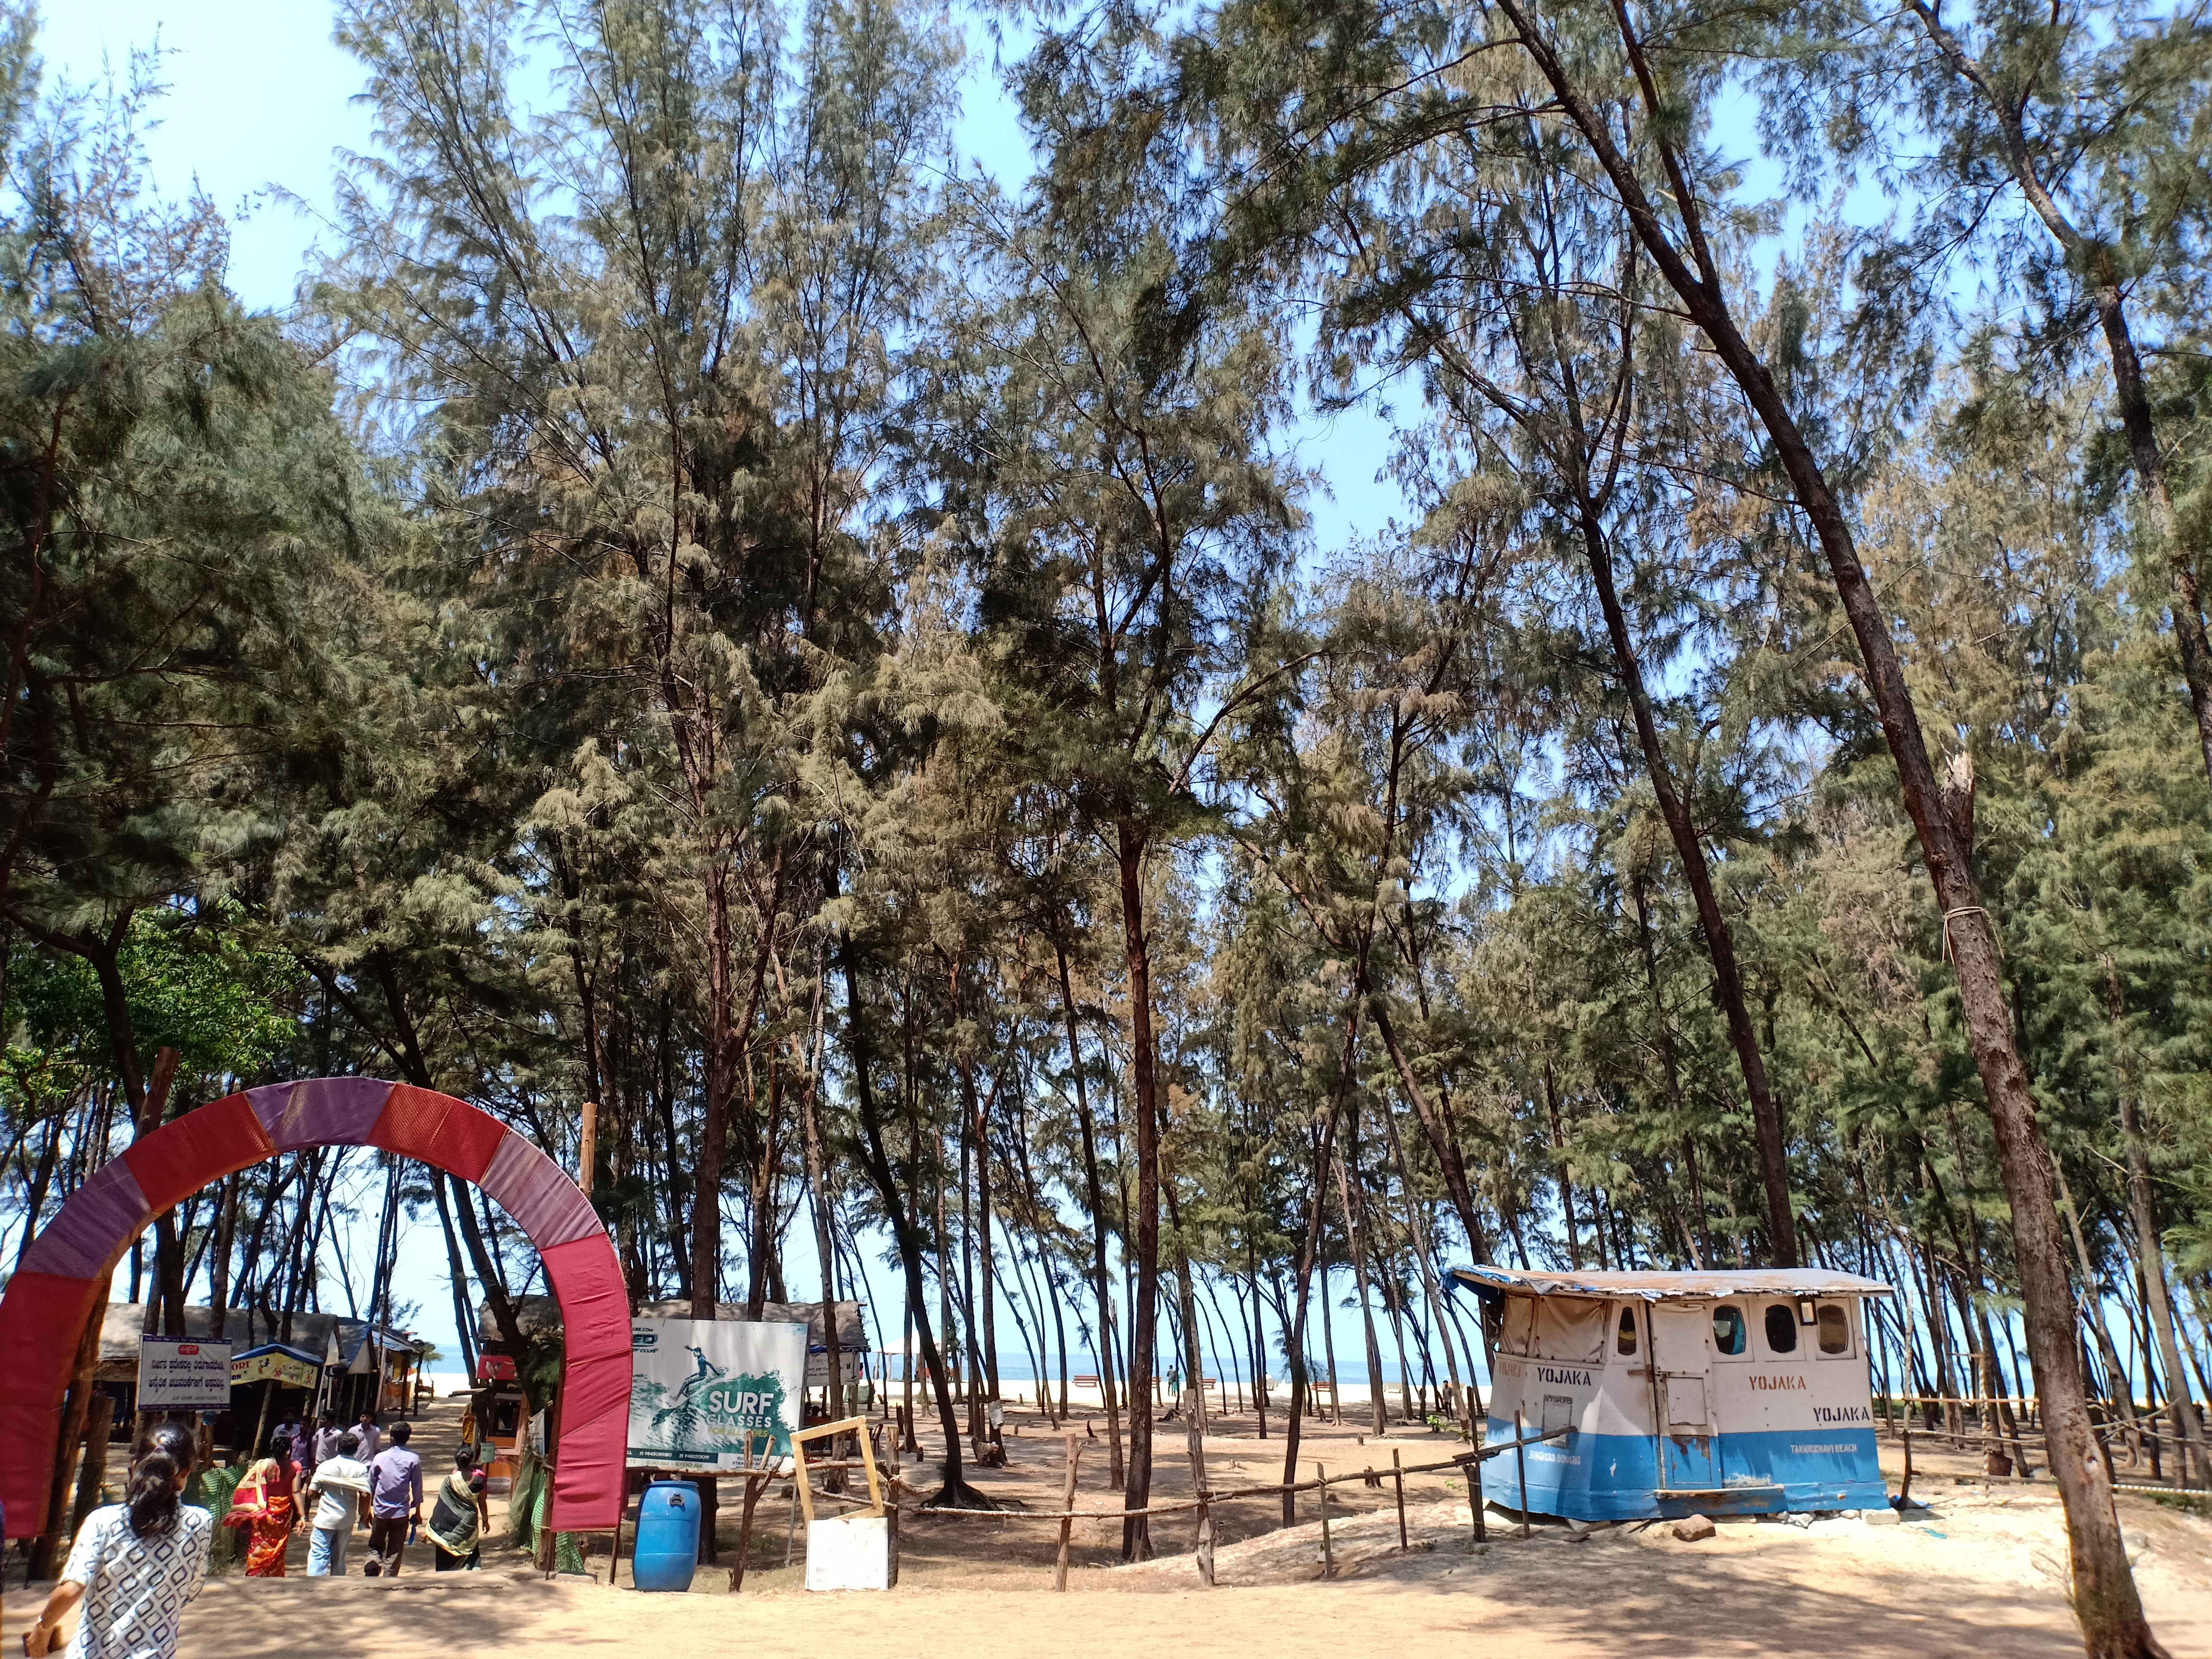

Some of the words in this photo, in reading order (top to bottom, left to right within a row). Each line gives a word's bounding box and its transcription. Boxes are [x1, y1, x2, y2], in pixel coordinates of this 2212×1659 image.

[147, 1373, 170, 1396] ಅನೈತಿಕ
[166, 1356, 193, 1375] ಪ್ರದೇಶದಲ್ಲ
[166, 1373, 205, 1390] ಚಟುವಚತೆಗಅಗೆ
[1495, 1358, 1523, 1381] YOJAKA
[1535, 1364, 1593, 1388] YOJAKA
[1746, 1371, 1808, 1393] YOJAKA
[706, 1387, 778, 1418] SURF
[702, 1409, 774, 1431] CLASSES
[1810, 1402, 1873, 1424] YOJAKA
[706, 1425, 726, 1437] FOR
[725, 1426, 744, 1438] ALL
[737, 1426, 769, 1441] GES
[1789, 1441, 1836, 1455] TANNIRBHAVI
[1830, 1441, 1860, 1455] BEACH
[1554, 1451, 1583, 1468] ಕಲಂಬಾರ